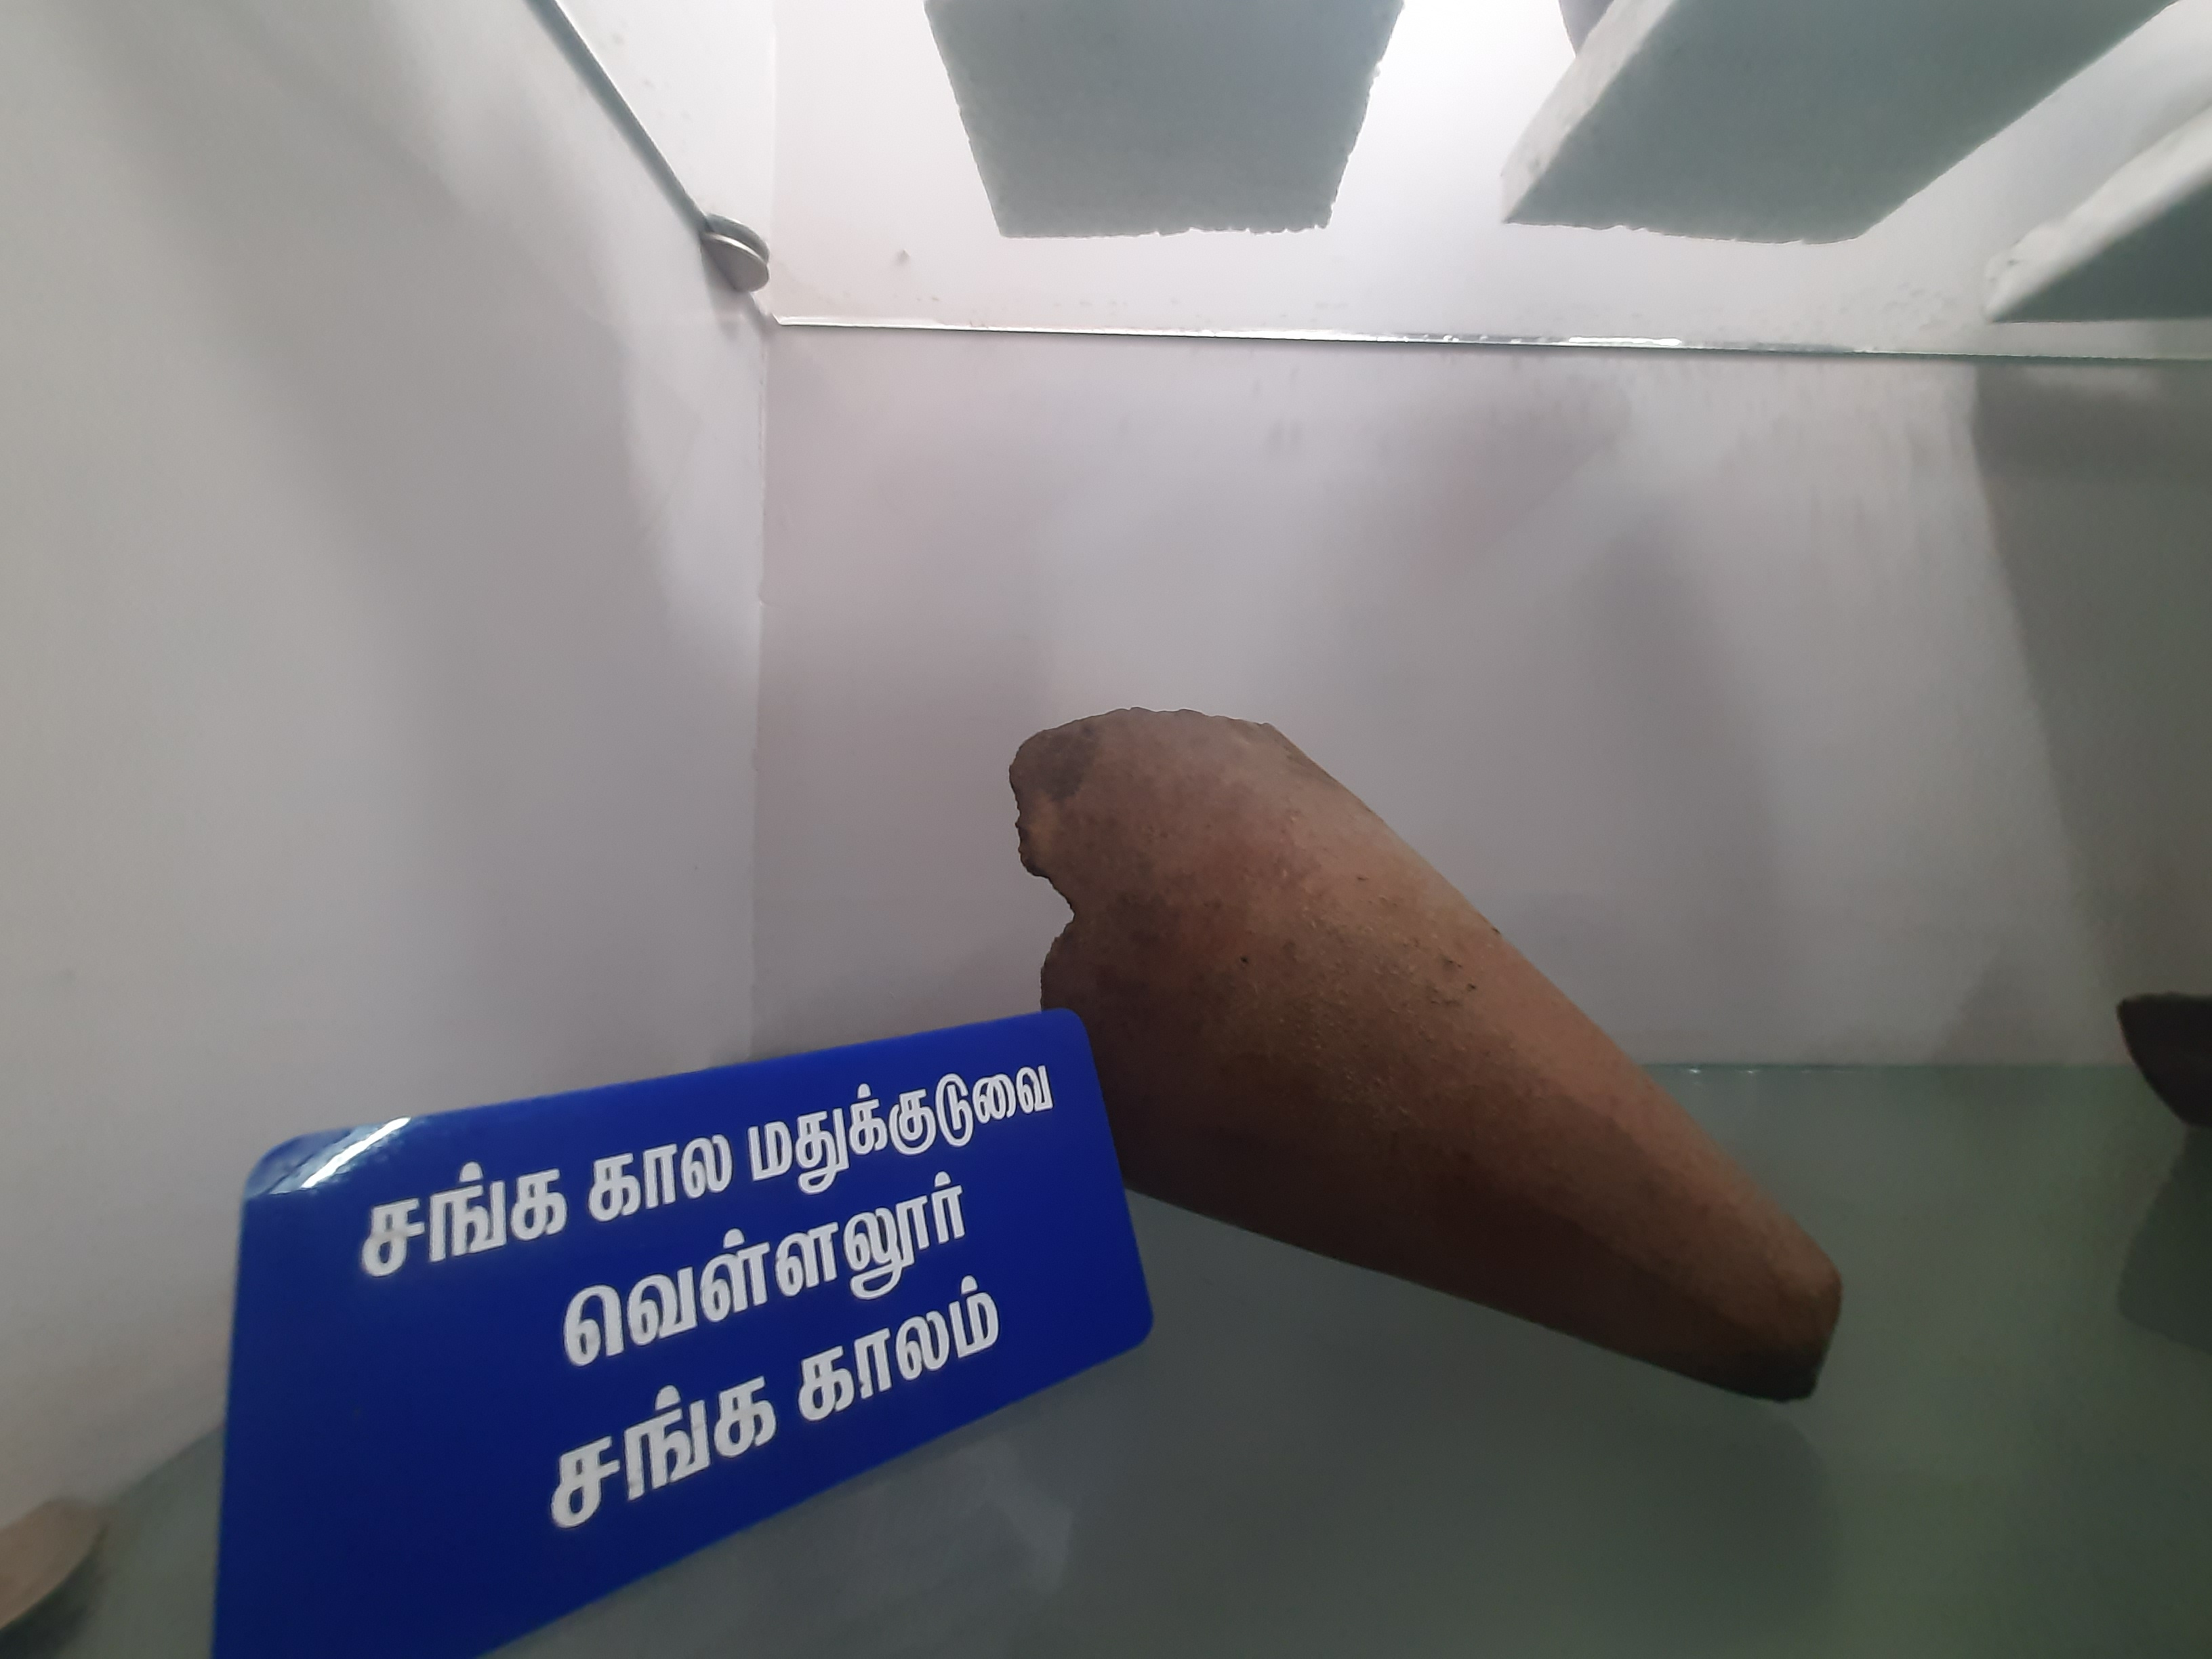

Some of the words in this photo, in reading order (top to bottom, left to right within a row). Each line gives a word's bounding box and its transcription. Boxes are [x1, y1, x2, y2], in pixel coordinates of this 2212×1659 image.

[356, 1149, 572, 1287] சங்க
[585, 1130, 739, 1231] கால
[555, 1167, 970, 1374] வெள்ளலூா்
[796, 1268, 1000, 1431] காலம்
[743, 1060, 1057, 1202] மதுக்குடுவை
[542, 1370, 782, 1542] சங்க